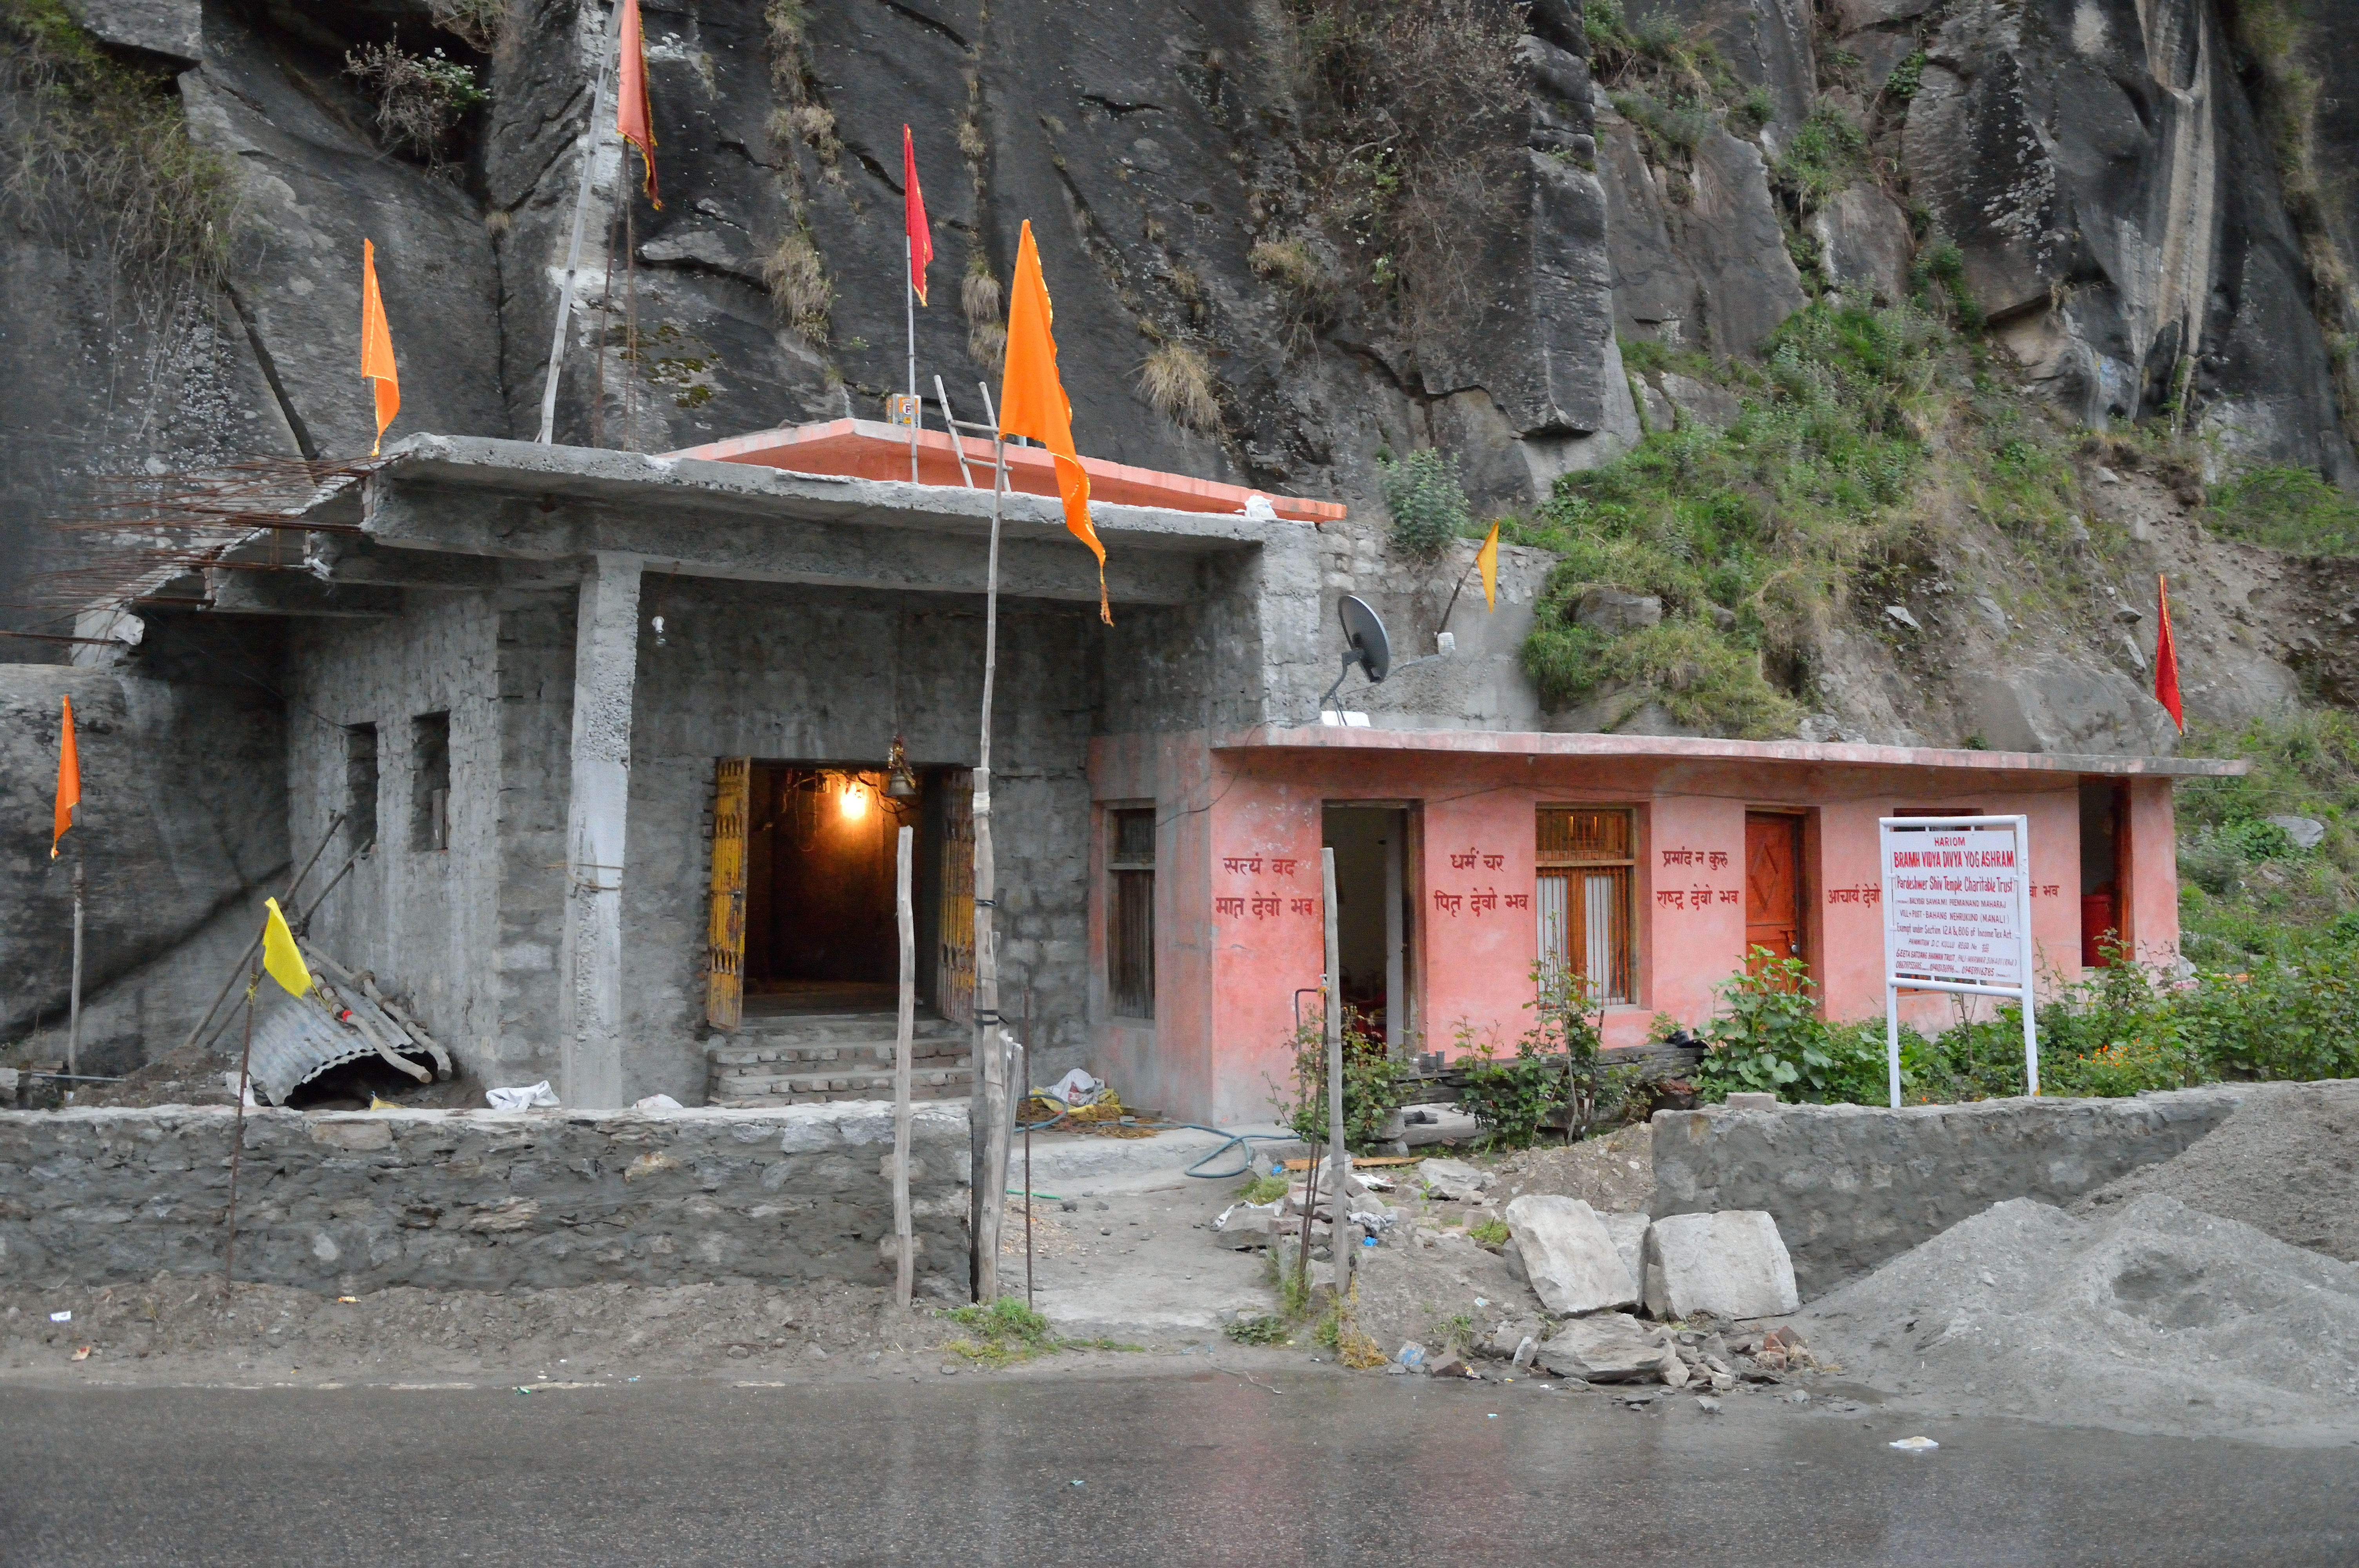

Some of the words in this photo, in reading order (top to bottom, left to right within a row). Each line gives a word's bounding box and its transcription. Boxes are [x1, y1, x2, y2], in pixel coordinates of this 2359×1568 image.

[1934, 836, 1968, 848] HARIOM
[1221, 852, 1265, 877] सत्यं
[1270, 857, 1299, 878] वद
[1449, 845, 1483, 871] धर्मं
[1481, 852, 1507, 874] चर
[1661, 844, 1694, 867] प्रमांद
[1694, 849, 1705, 866] न
[1708, 849, 1730, 874] कुरु
[1891, 850, 1921, 870] BRAMH
[1919, 849, 1943, 869] VIDYA
[1941, 850, 1965, 869] DIVYA
[1963, 847, 2016, 869] YOGASHRAM
[1212, 895, 1246, 921] मात
[1250, 888, 1283, 922] देवो
[1287, 897, 1315, 918] भव
[1430, 887, 1464, 918] पितृ
[1469, 884, 1499, 918] देवो
[1503, 892, 1531, 912] भव
[1655, 889, 1685, 911] राष्ट्र
[1688, 881, 1714, 913] देवो
[1717, 889, 1743, 906] भव
[1825, 881, 1862, 906] आचार्य
[1860, 881, 1883, 911] देवो
[1896, 922, 1913, 935] Exempt
[1899, 908, 1923, 920] VILL+POST
[1896, 874, 1930, 891] Pardeshwer
[1906, 895, 1926, 906] BALYOGI
[1910, 921, 1924, 935] under
[1921, 922, 1943, 936] Section
[1927, 873, 1945, 893] Shiv
[1924, 896, 1949, 908] SAWAMI
[1925, 909, 1948, 922] BAHANG
[1941, 924, 1954, 935] 12A
[1942, 874, 1964, 897] Temple
[1948, 911, 1979, 922] NEHRUKUND
[1957, 926, 1970, 940] 806
[1947, 897, 1983, 909] PREMANAND
[1967, 925, 1977, 938] of
[1962, 874, 1997, 894] Charitable
[1977, 928, 1995, 938] Income
[1979, 899, 2008, 909] MAHARAJ
[1980, 913, 2007, 925] MANALI
[1993, 927, 2003, 939] Tex
[1995, 875, 2014, 895] Trust
[2002, 927, 2012, 939] Act.